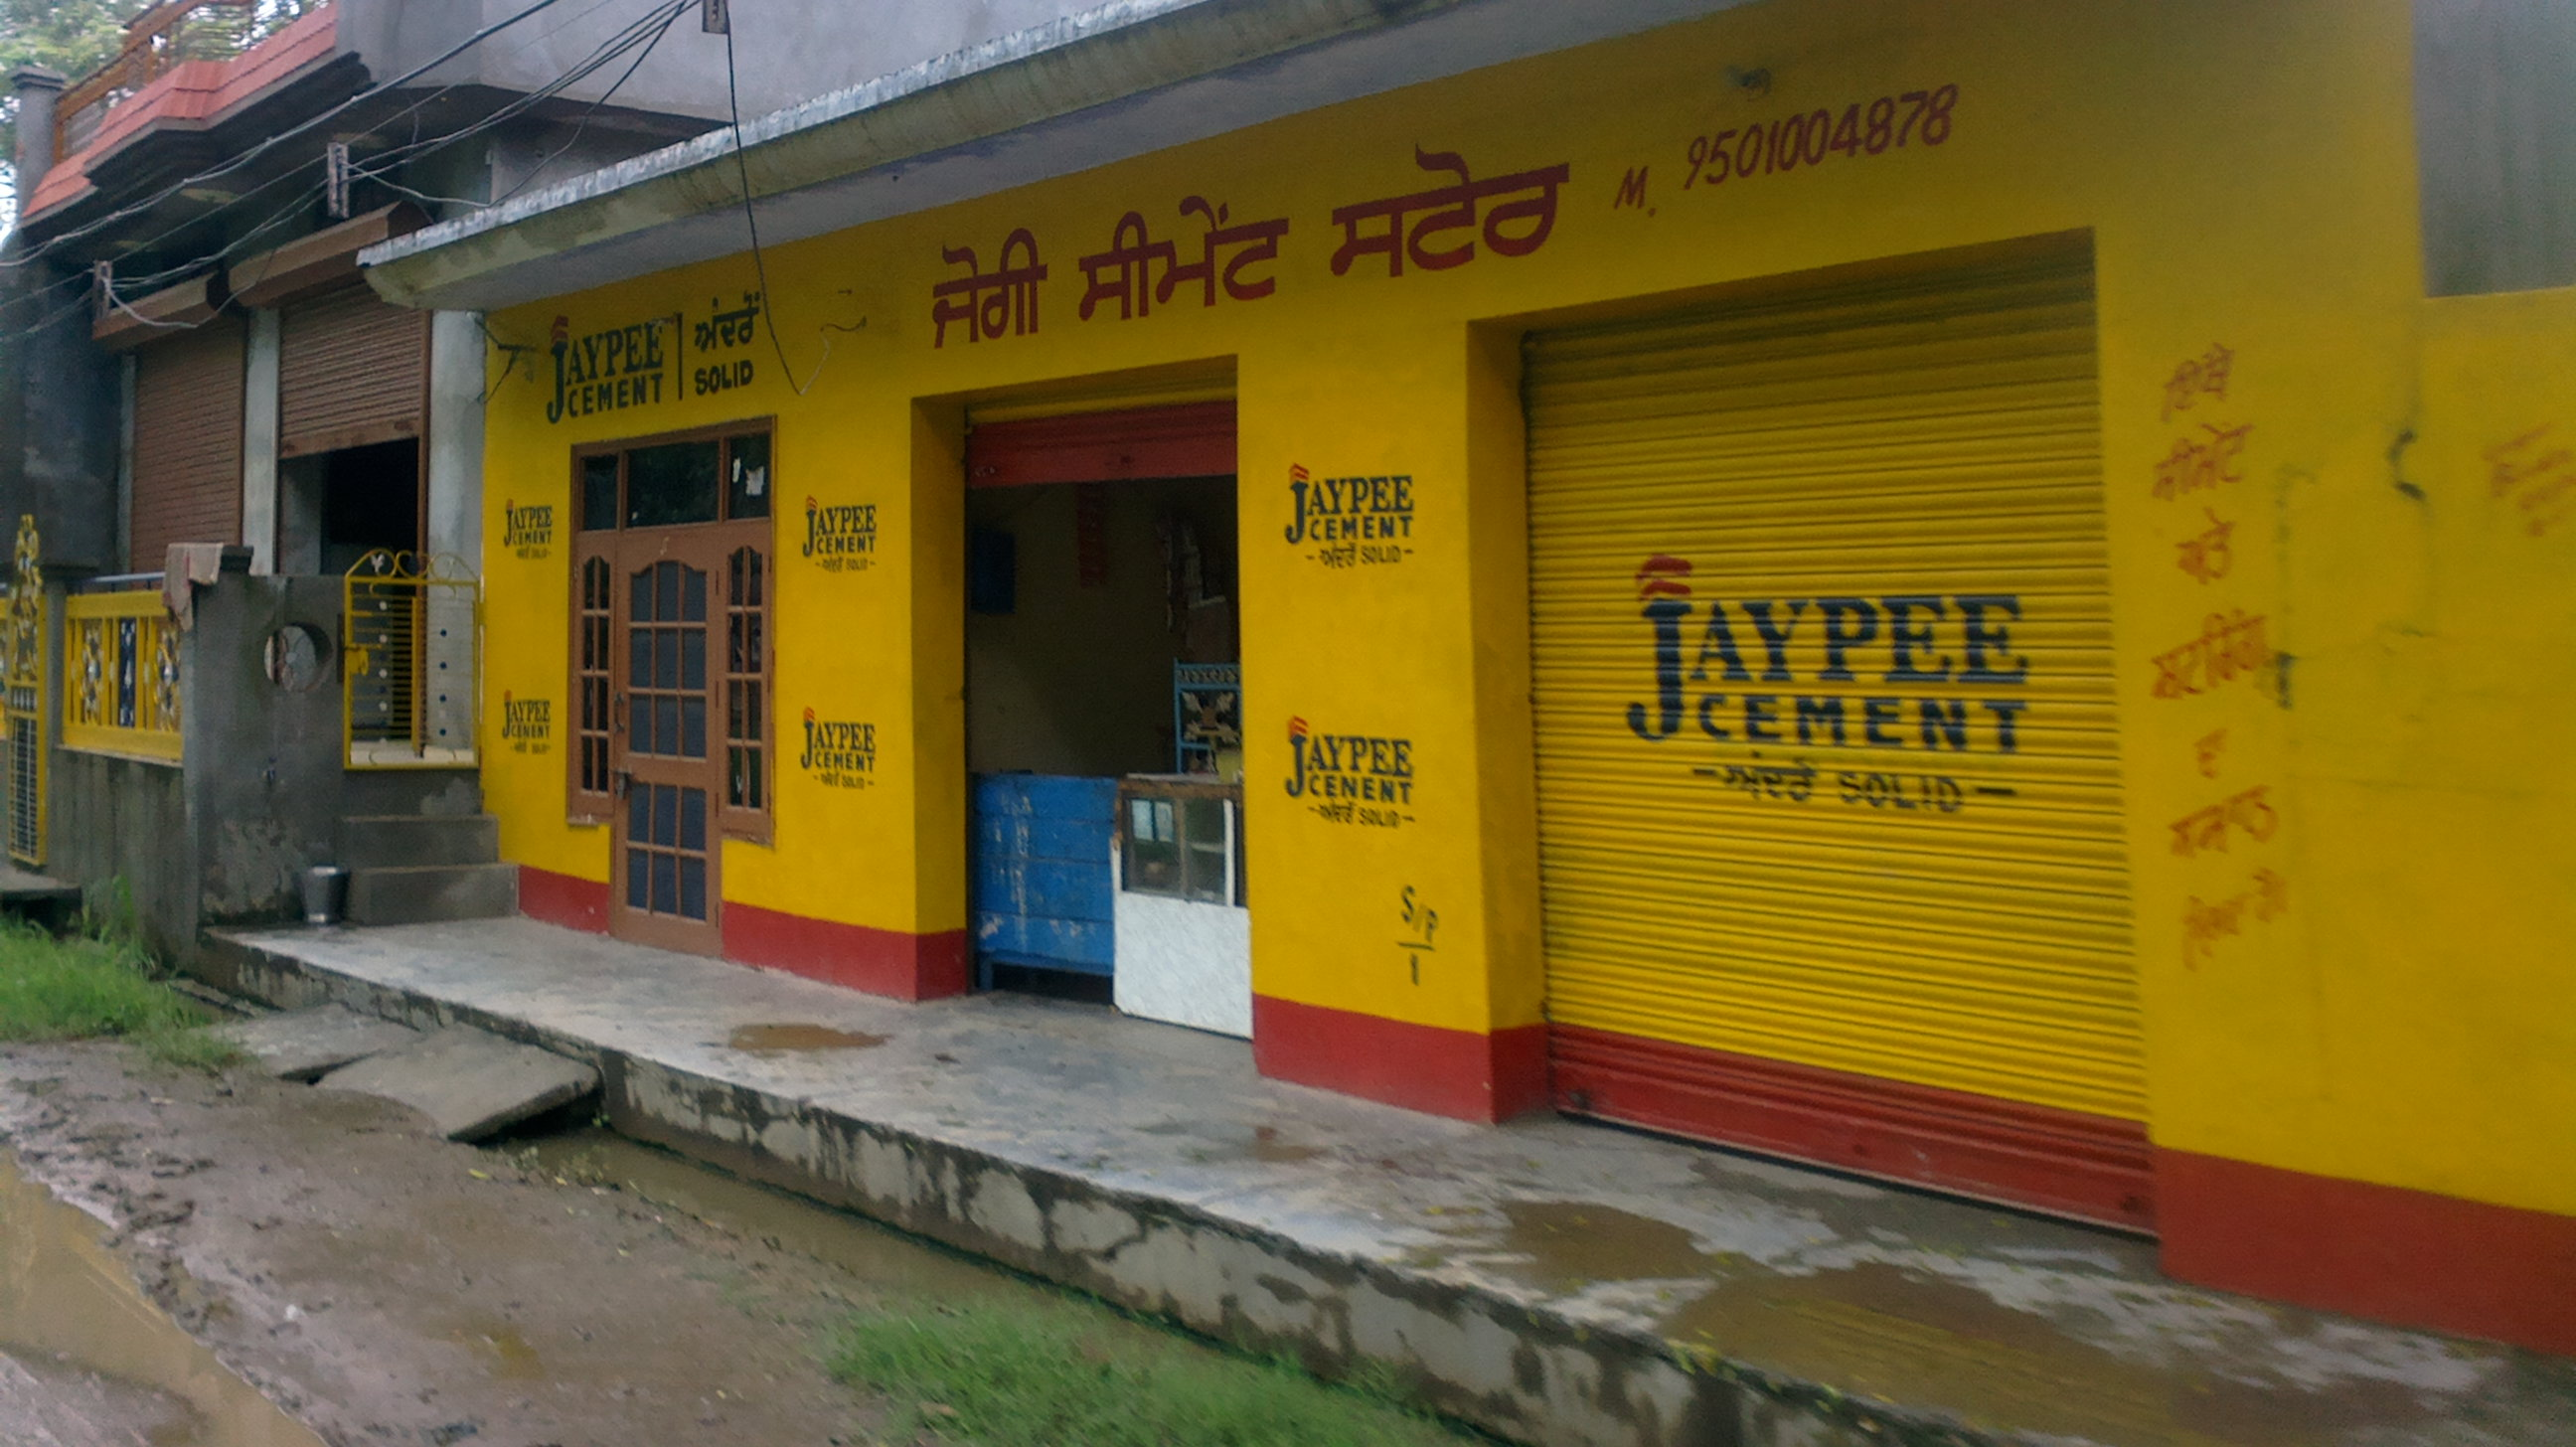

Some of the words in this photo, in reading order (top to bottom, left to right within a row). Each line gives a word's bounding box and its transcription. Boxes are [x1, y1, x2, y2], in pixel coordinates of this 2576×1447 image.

[1671, 72, 1981, 199] 9501004878
[1311, 132, 1584, 297] ਸਟੇਰ
[1601, 153, 1664, 227] M.
[685, 279, 769, 358] ਅੰਦਰੋਂ
[917, 217, 1058, 360] ਜੋਗੀ
[1068, 185, 1290, 332] ਸੀਮੇਂਟ
[535, 313, 675, 428] JAYPEE
[565, 370, 670, 422] CEMENT
[681, 351, 760, 405] SOLID
[494, 497, 560, 550] JAYPEE
[796, 489, 880, 562] JAYPEE
[816, 533, 881, 557] CEMENT
[1279, 456, 1417, 550] JAYPEE
[1307, 513, 1417, 542] CEMENT
[1613, 539, 2038, 753] JAYPEE
[494, 687, 556, 743] JAYPEE
[792, 701, 885, 774] JAYPEE
[814, 749, 880, 774] CEMENT
[1277, 710, 1420, 808] JAYPEE
[1306, 772, 1418, 807] CENENT
[1715, 745, 1826, 813] ਅਂਦਟੇ
[1690, 690, 2040, 753] CEMENT
[1829, 759, 1974, 821] SOLID
[1387, 875, 1453, 952] S/P
[1396, 943, 1437, 996] 1